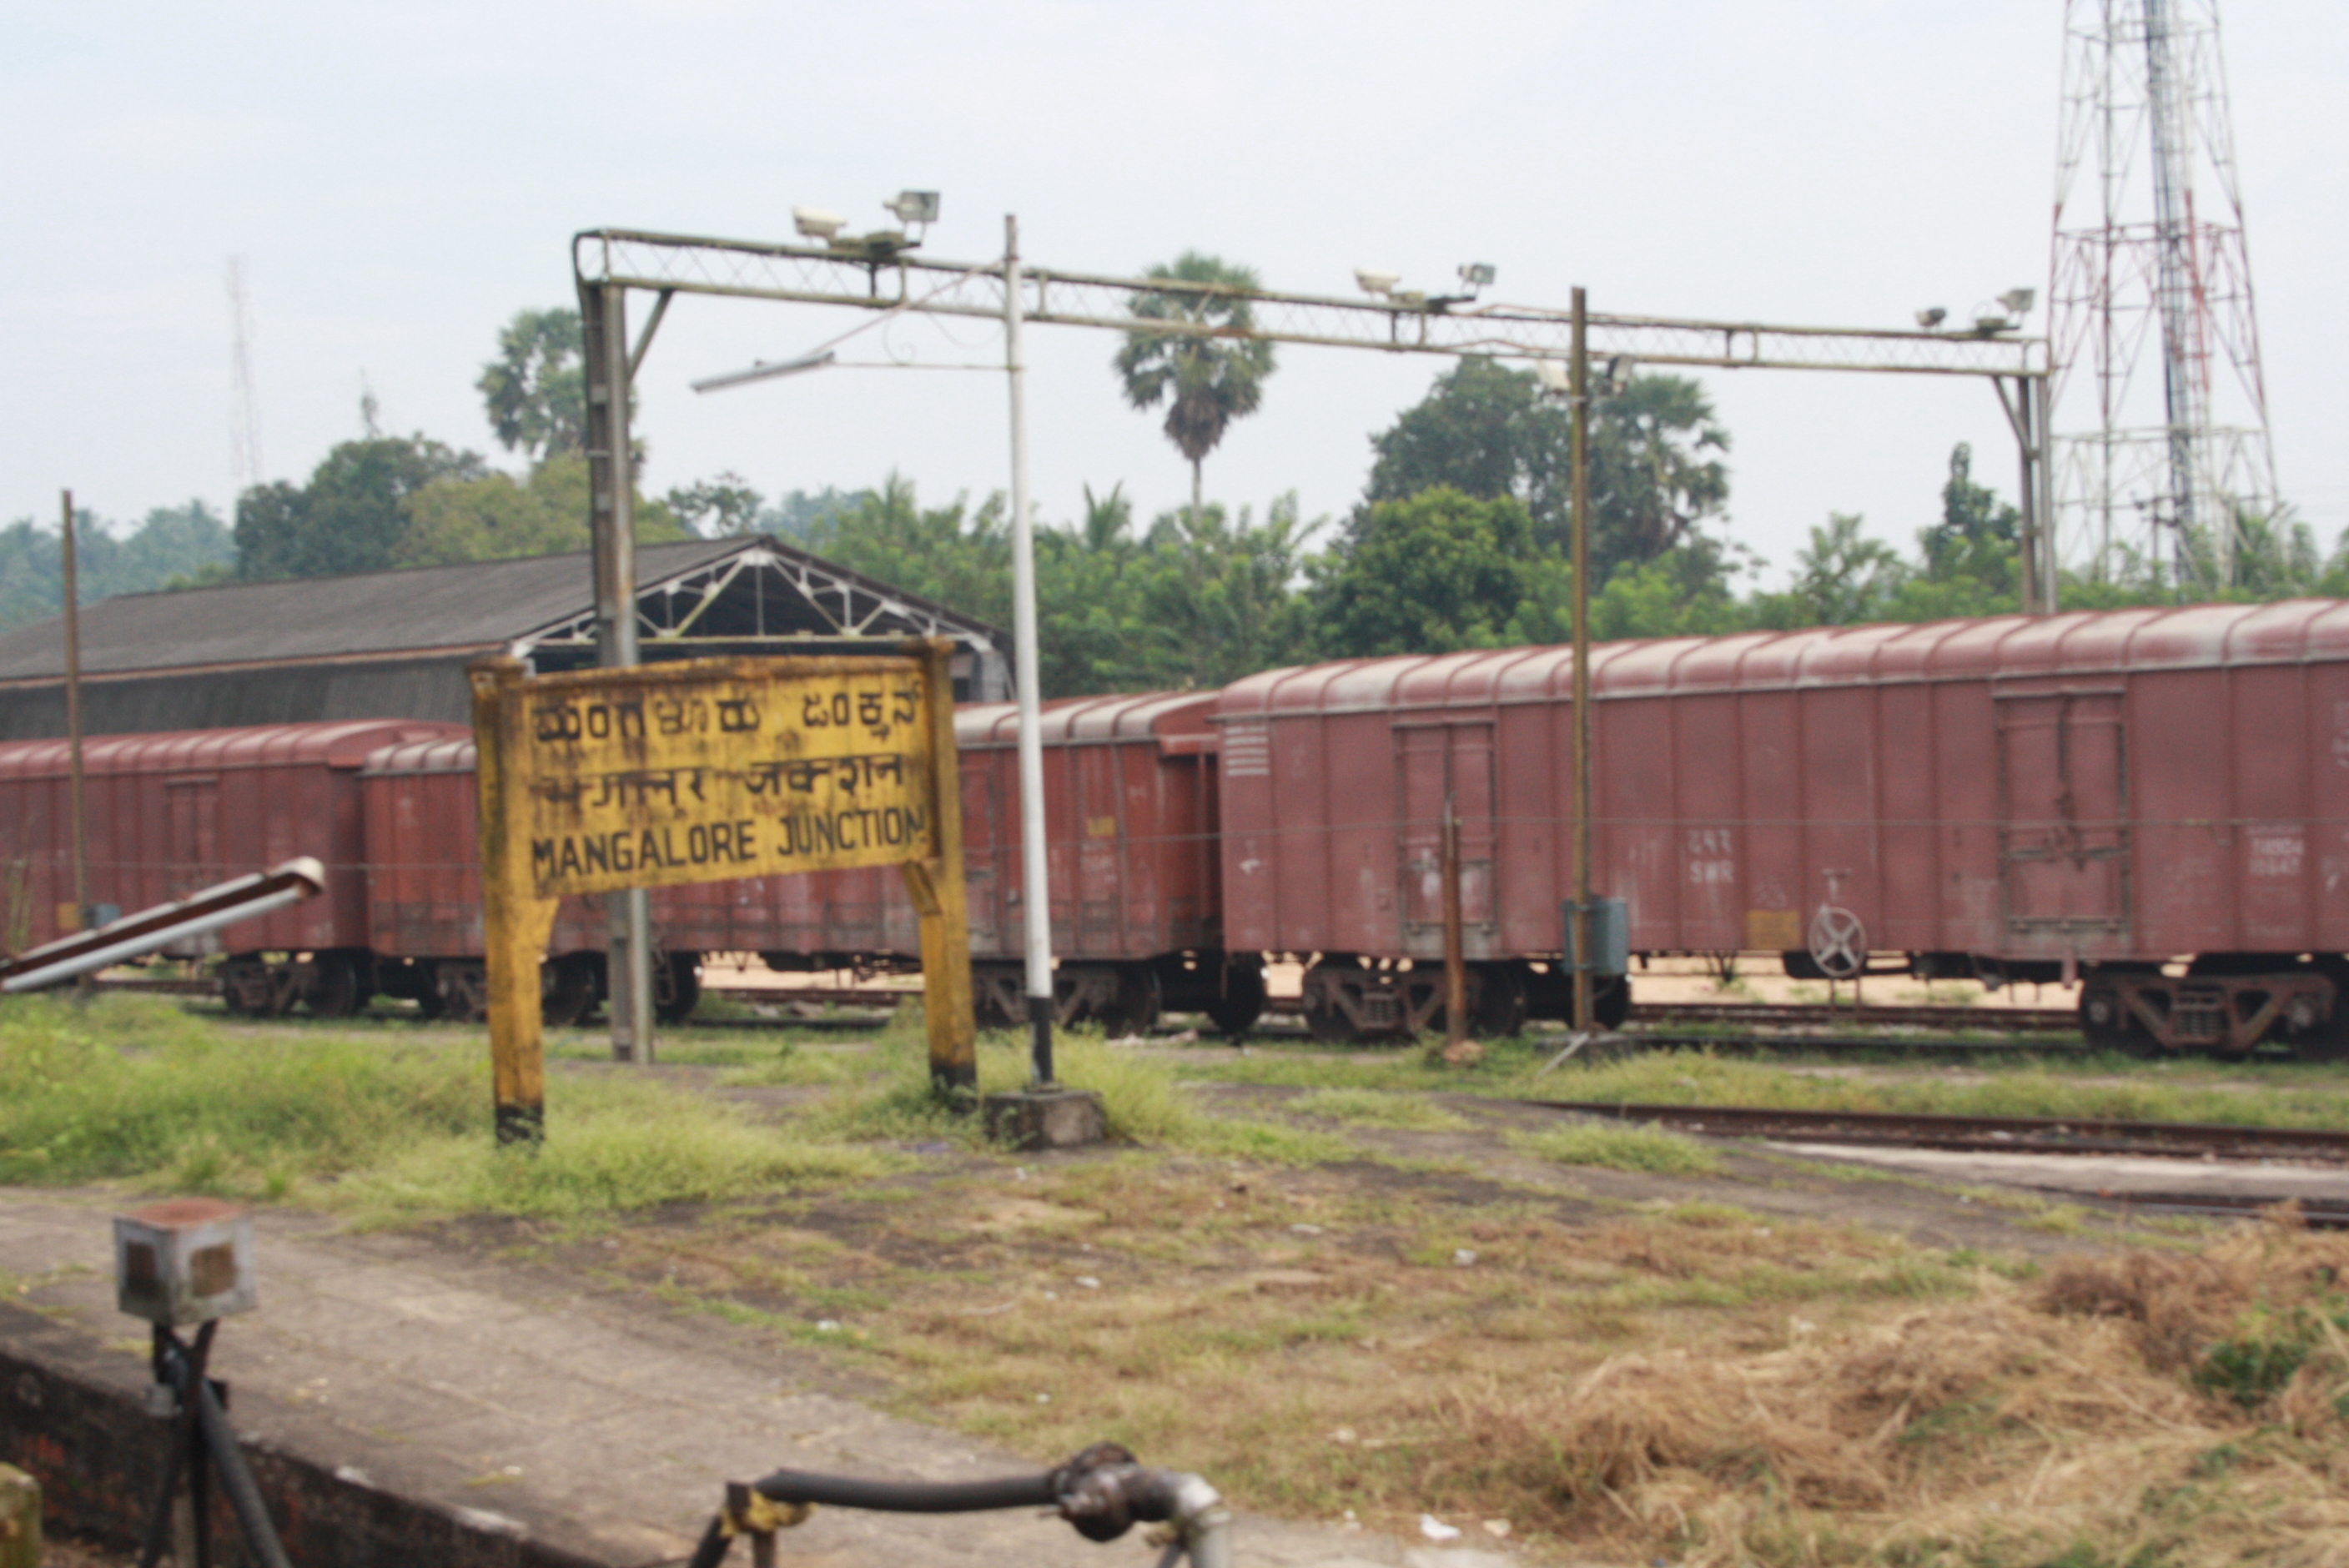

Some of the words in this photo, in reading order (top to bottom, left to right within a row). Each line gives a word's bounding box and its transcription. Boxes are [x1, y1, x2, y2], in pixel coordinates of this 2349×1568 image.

[530, 683, 767, 744] ಮಂಗಳೂರು
[797, 676, 927, 746] ಜಂಕ್ತನ್
[535, 761, 713, 821] मंगलर
[742, 748, 908, 803] जंक्शन
[526, 815, 762, 888] MANGALORE
[773, 802, 933, 861] JUNCTION